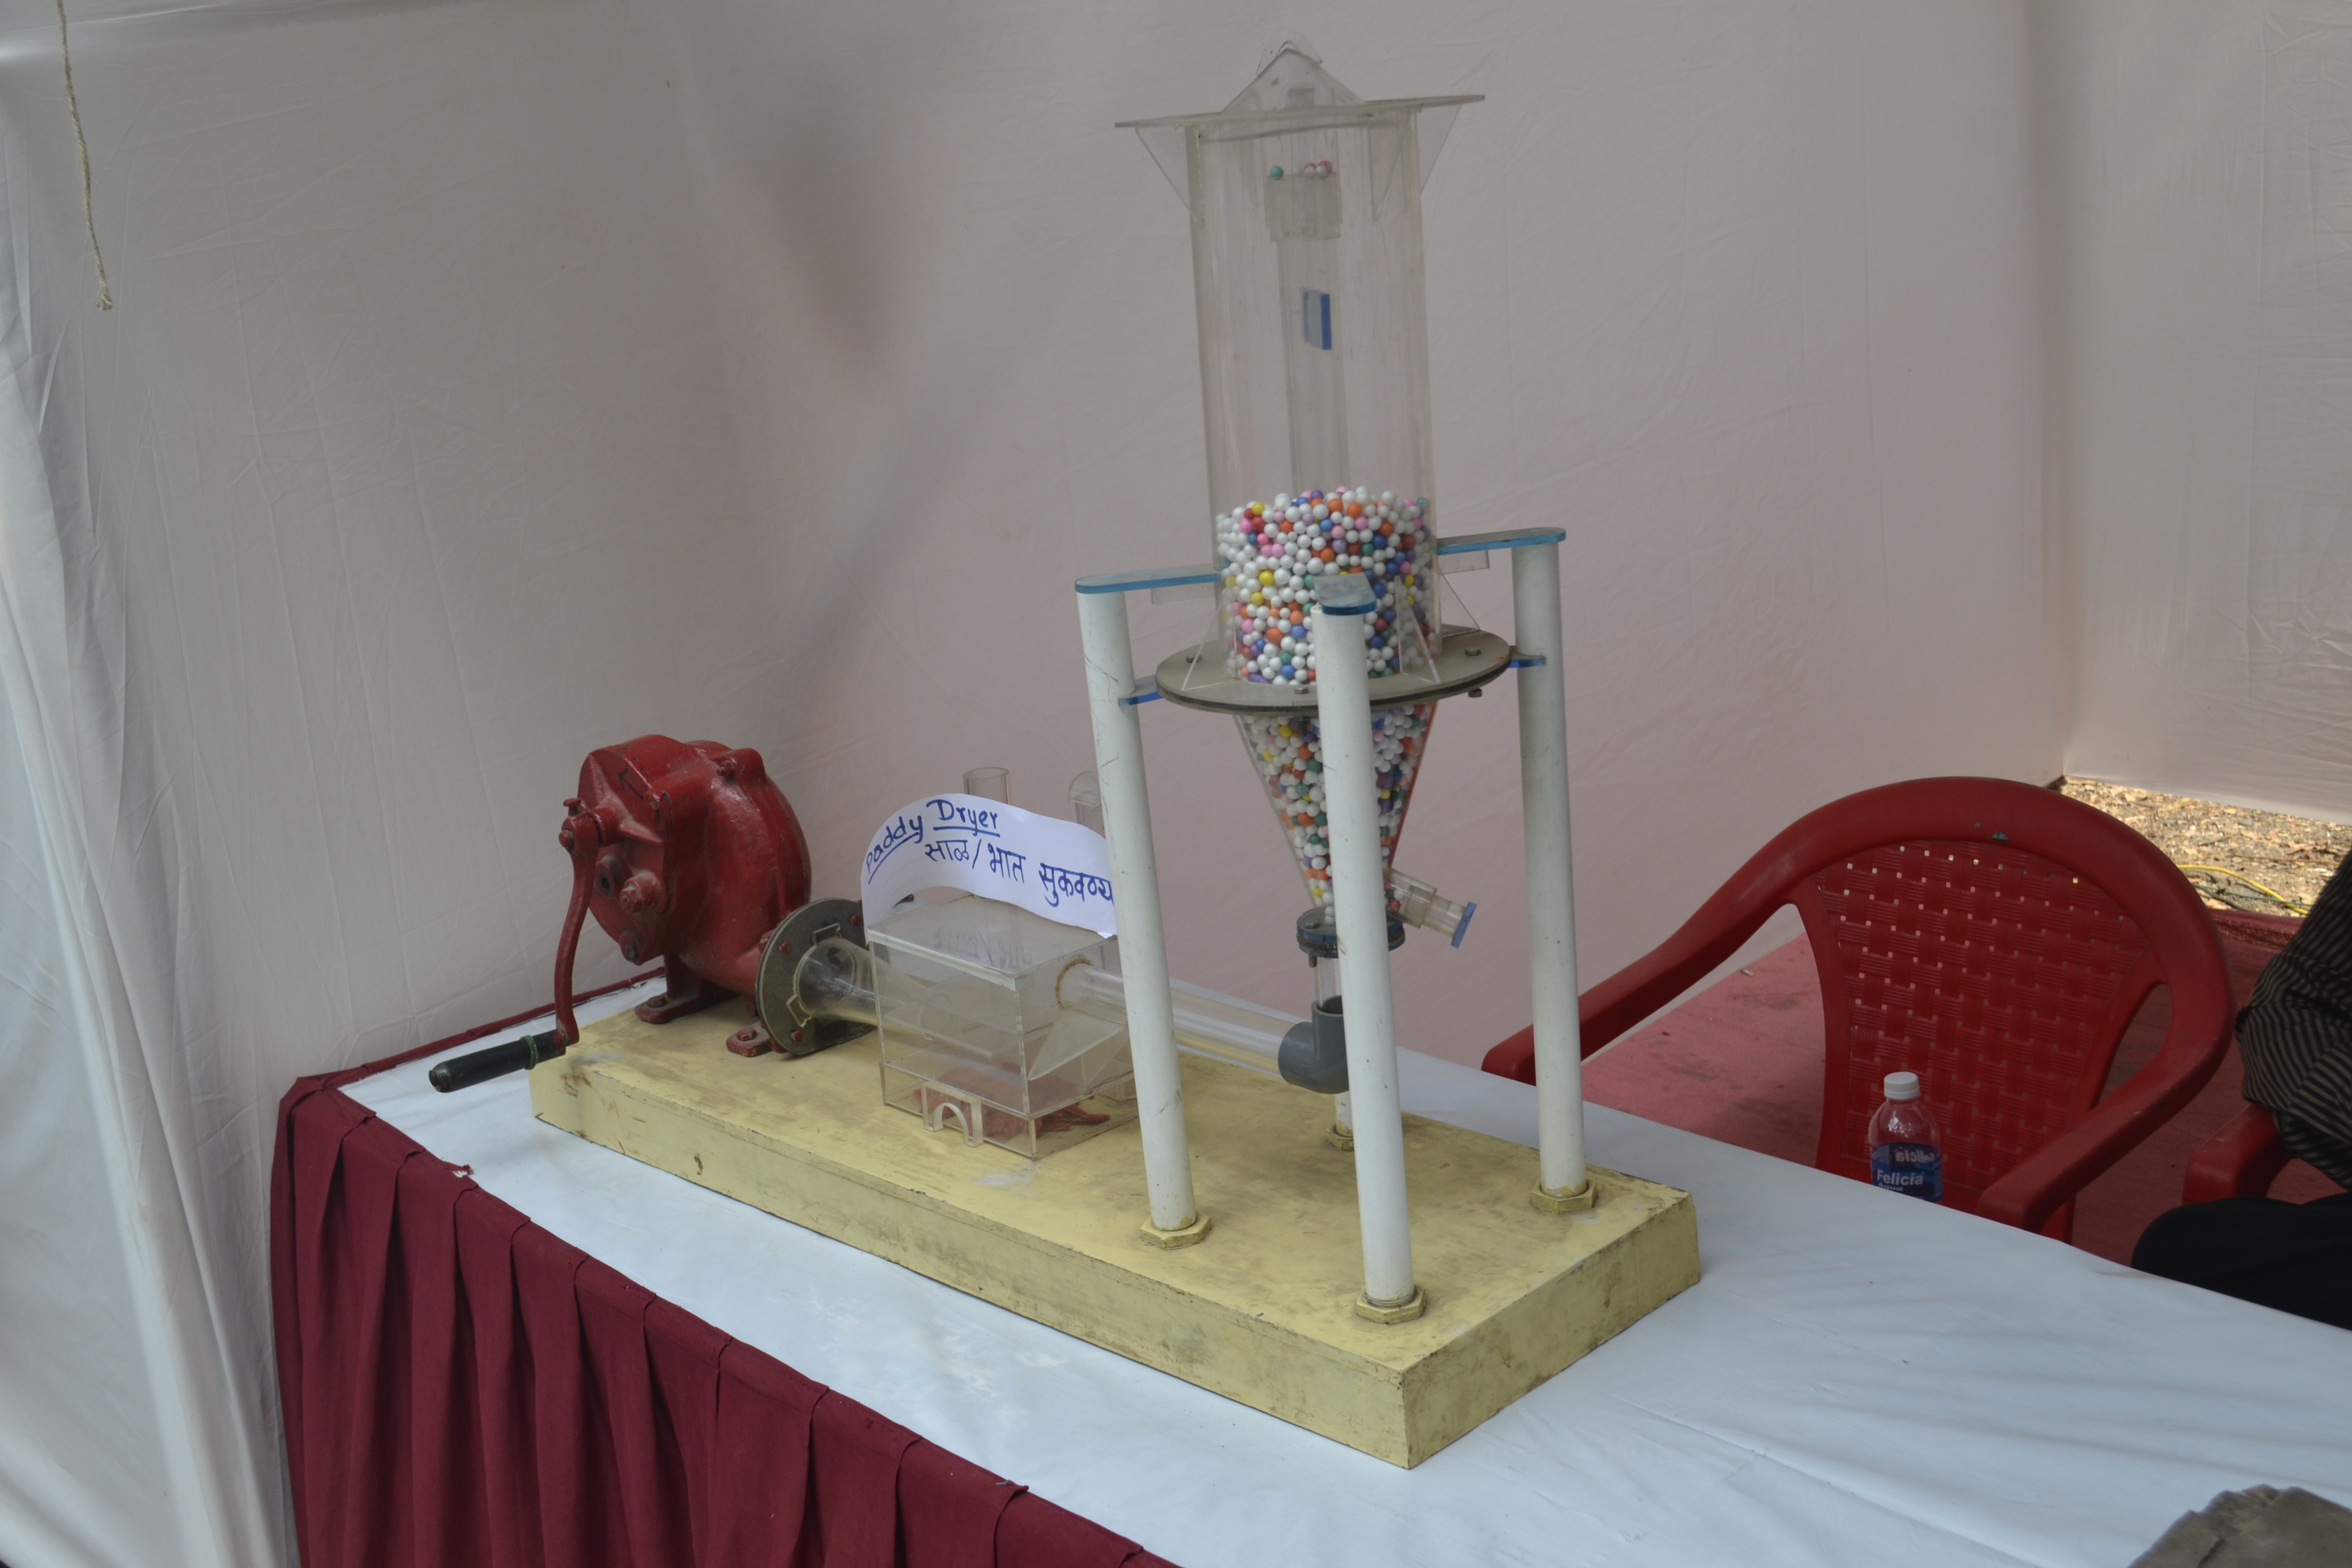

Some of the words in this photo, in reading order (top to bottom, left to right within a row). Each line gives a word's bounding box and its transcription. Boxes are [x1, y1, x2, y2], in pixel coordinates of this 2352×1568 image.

[925, 798, 1000, 838] Dryer
[863, 813, 925, 875] Paddy
[923, 838, 972, 864] साळ
[987, 841, 1027, 887] भात
[1036, 861, 1116, 910] सुकवण्य